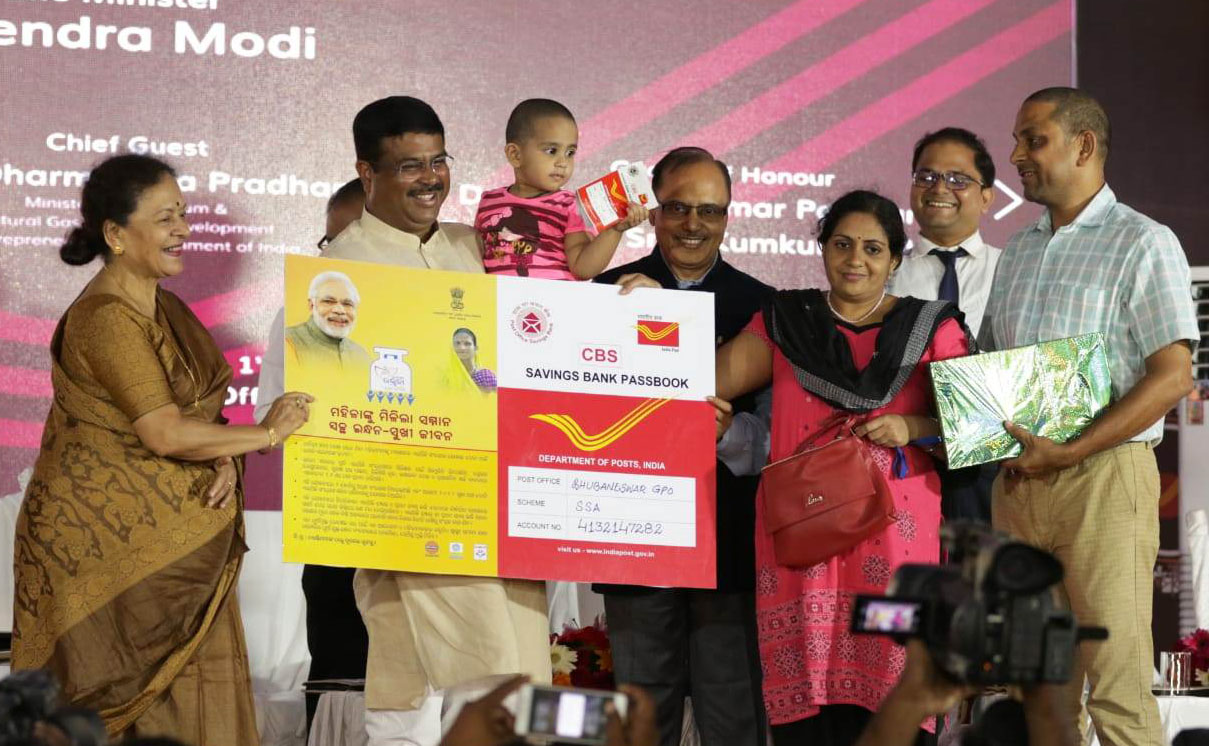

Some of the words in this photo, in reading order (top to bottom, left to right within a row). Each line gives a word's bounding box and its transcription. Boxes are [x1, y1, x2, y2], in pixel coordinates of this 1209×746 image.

[36, 122, 123, 158] Chief
[127, 126, 215, 165] Guest
[205, 169, 353, 202] Pradhar
[736, 162, 839, 188] Honour
[720, 196, 789, 224] mar
[718, 220, 829, 259] Kumku
[580, 344, 618, 363] CBS
[523, 360, 581, 383] SAVINGS
[582, 367, 618, 386] BANK
[617, 369, 692, 394] PASSBOOK
[328, 402, 376, 423] ମହିଳାଙ୍କୁ
[353, 422, 384, 436] ଇନ୍ଧନ
[375, 405, 415, 427] ମିଳିଲା
[386, 421, 419, 445] ସୁଖୀ
[417, 411, 451, 429] ସମ୍ମାନ
[417, 426, 453, 444] ଜୀବନ
[533, 450, 599, 471] DEPARTMENT
[591, 453, 615, 470] OF
[607, 454, 643, 474] POSTS,
[634, 457, 671, 475] INDIA
[513, 473, 564, 490] POSTOFFICE
[566, 475, 651, 501] BHUBANESWAR
[648, 481, 679, 499] GPO
[513, 495, 551, 510] SCHEME
[571, 497, 604, 520] SSA
[512, 517, 566, 535] ACCOUNTNO
[577, 518, 667, 537] 4132147282